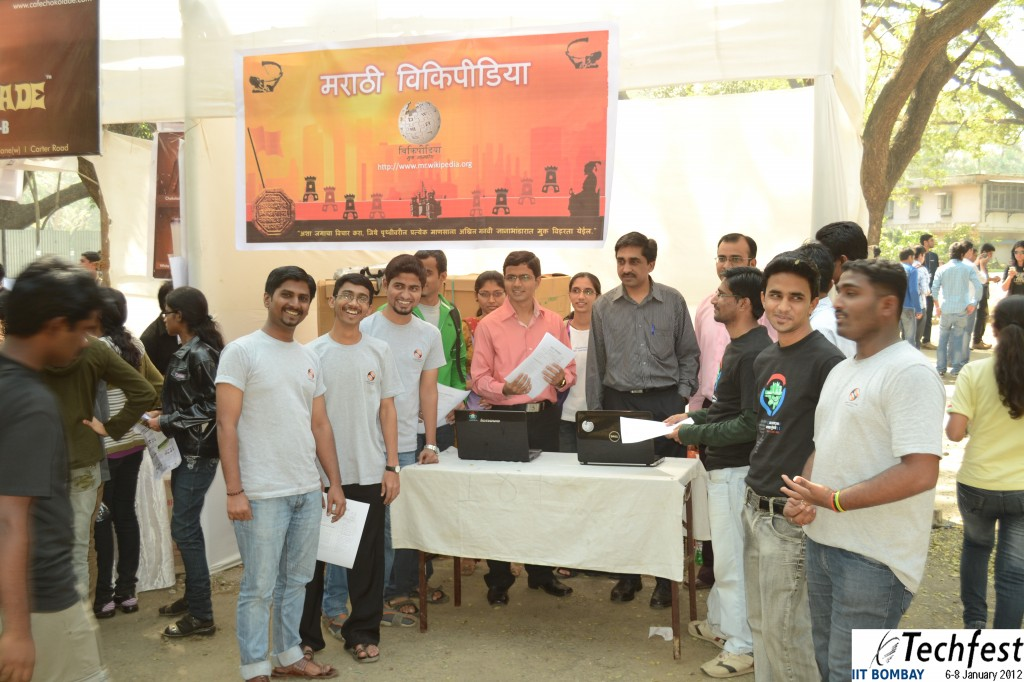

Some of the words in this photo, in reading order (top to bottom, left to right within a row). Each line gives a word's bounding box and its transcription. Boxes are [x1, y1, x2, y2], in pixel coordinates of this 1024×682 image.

[315, 62, 385, 101] मराठी
[391, 53, 535, 97] विकिपीडिया
[394, 138, 445, 157] विकिपीडिया
[373, 157, 477, 174] http://www.mr.wikipedia.org
[297, 225, 315, 241] "अशा
[306, 227, 336, 242] ज्ञगाचा
[331, 223, 353, 240] विचार
[349, 225, 366, 240] करा
[363, 221, 381, 243] जिये
[377, 221, 411, 241] पृथ्वीवरील
[405, 221, 433, 240] प्रत्येक
[426, 223, 459, 239] मागसाला
[452, 223, 479, 239] अखिल
[473, 223, 495, 240] मानवी
[494, 224, 536, 239] ज्ञानाभांडारात
[534, 225, 551, 241] मुक
[547, 221, 578, 241] विहरता
[571, 221, 595, 240] येईल,
[890, 624, 1024, 674] Techfest
[848, 665, 871, 682] IIT
[869, 665, 925, 681] BOMBAY
[943, 666, 1024, 682] 6-8January2012